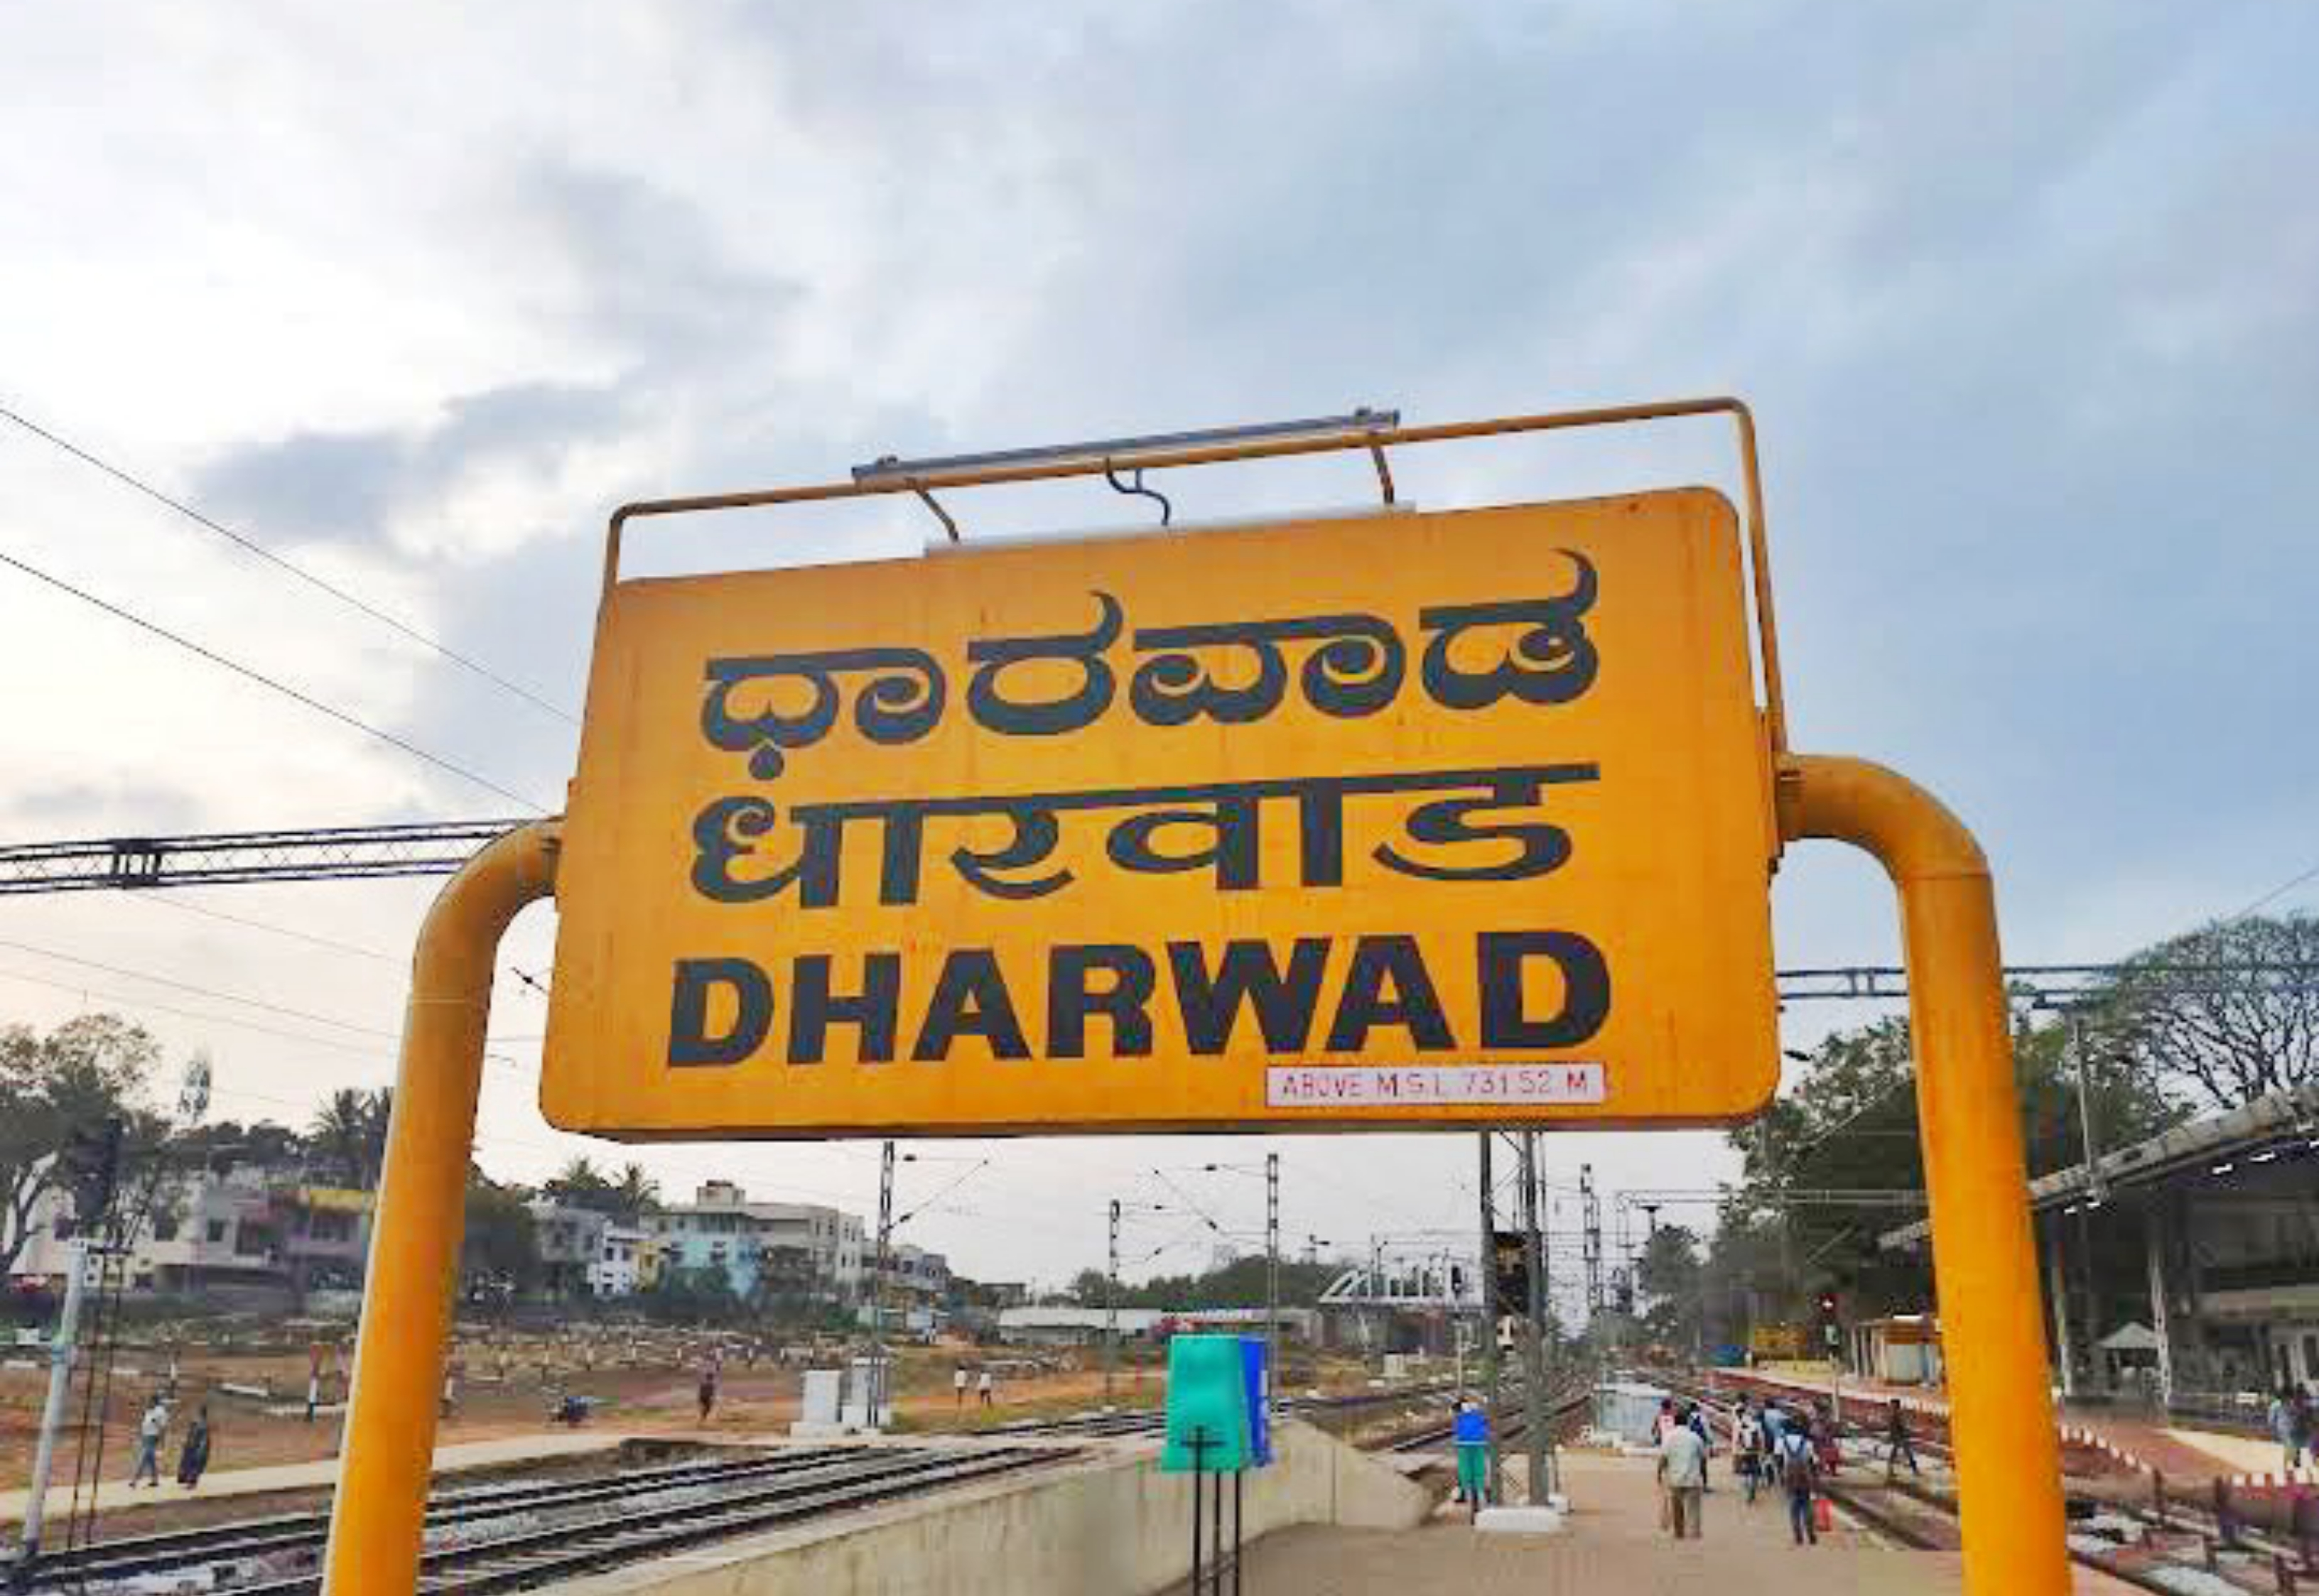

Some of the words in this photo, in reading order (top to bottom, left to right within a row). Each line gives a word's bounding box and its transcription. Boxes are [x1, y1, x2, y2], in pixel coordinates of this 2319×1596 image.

[682, 532, 1612, 786] ಧಾರವಾಡ
[682, 753, 1606, 916] धारवाड
[656, 923, 1617, 1068] DHARWAD
[1270, 1067, 1364, 1106] ABOVE
[1368, 1067, 1454, 1106] M.S.I.
[1456, 1065, 1593, 1102] 73152M